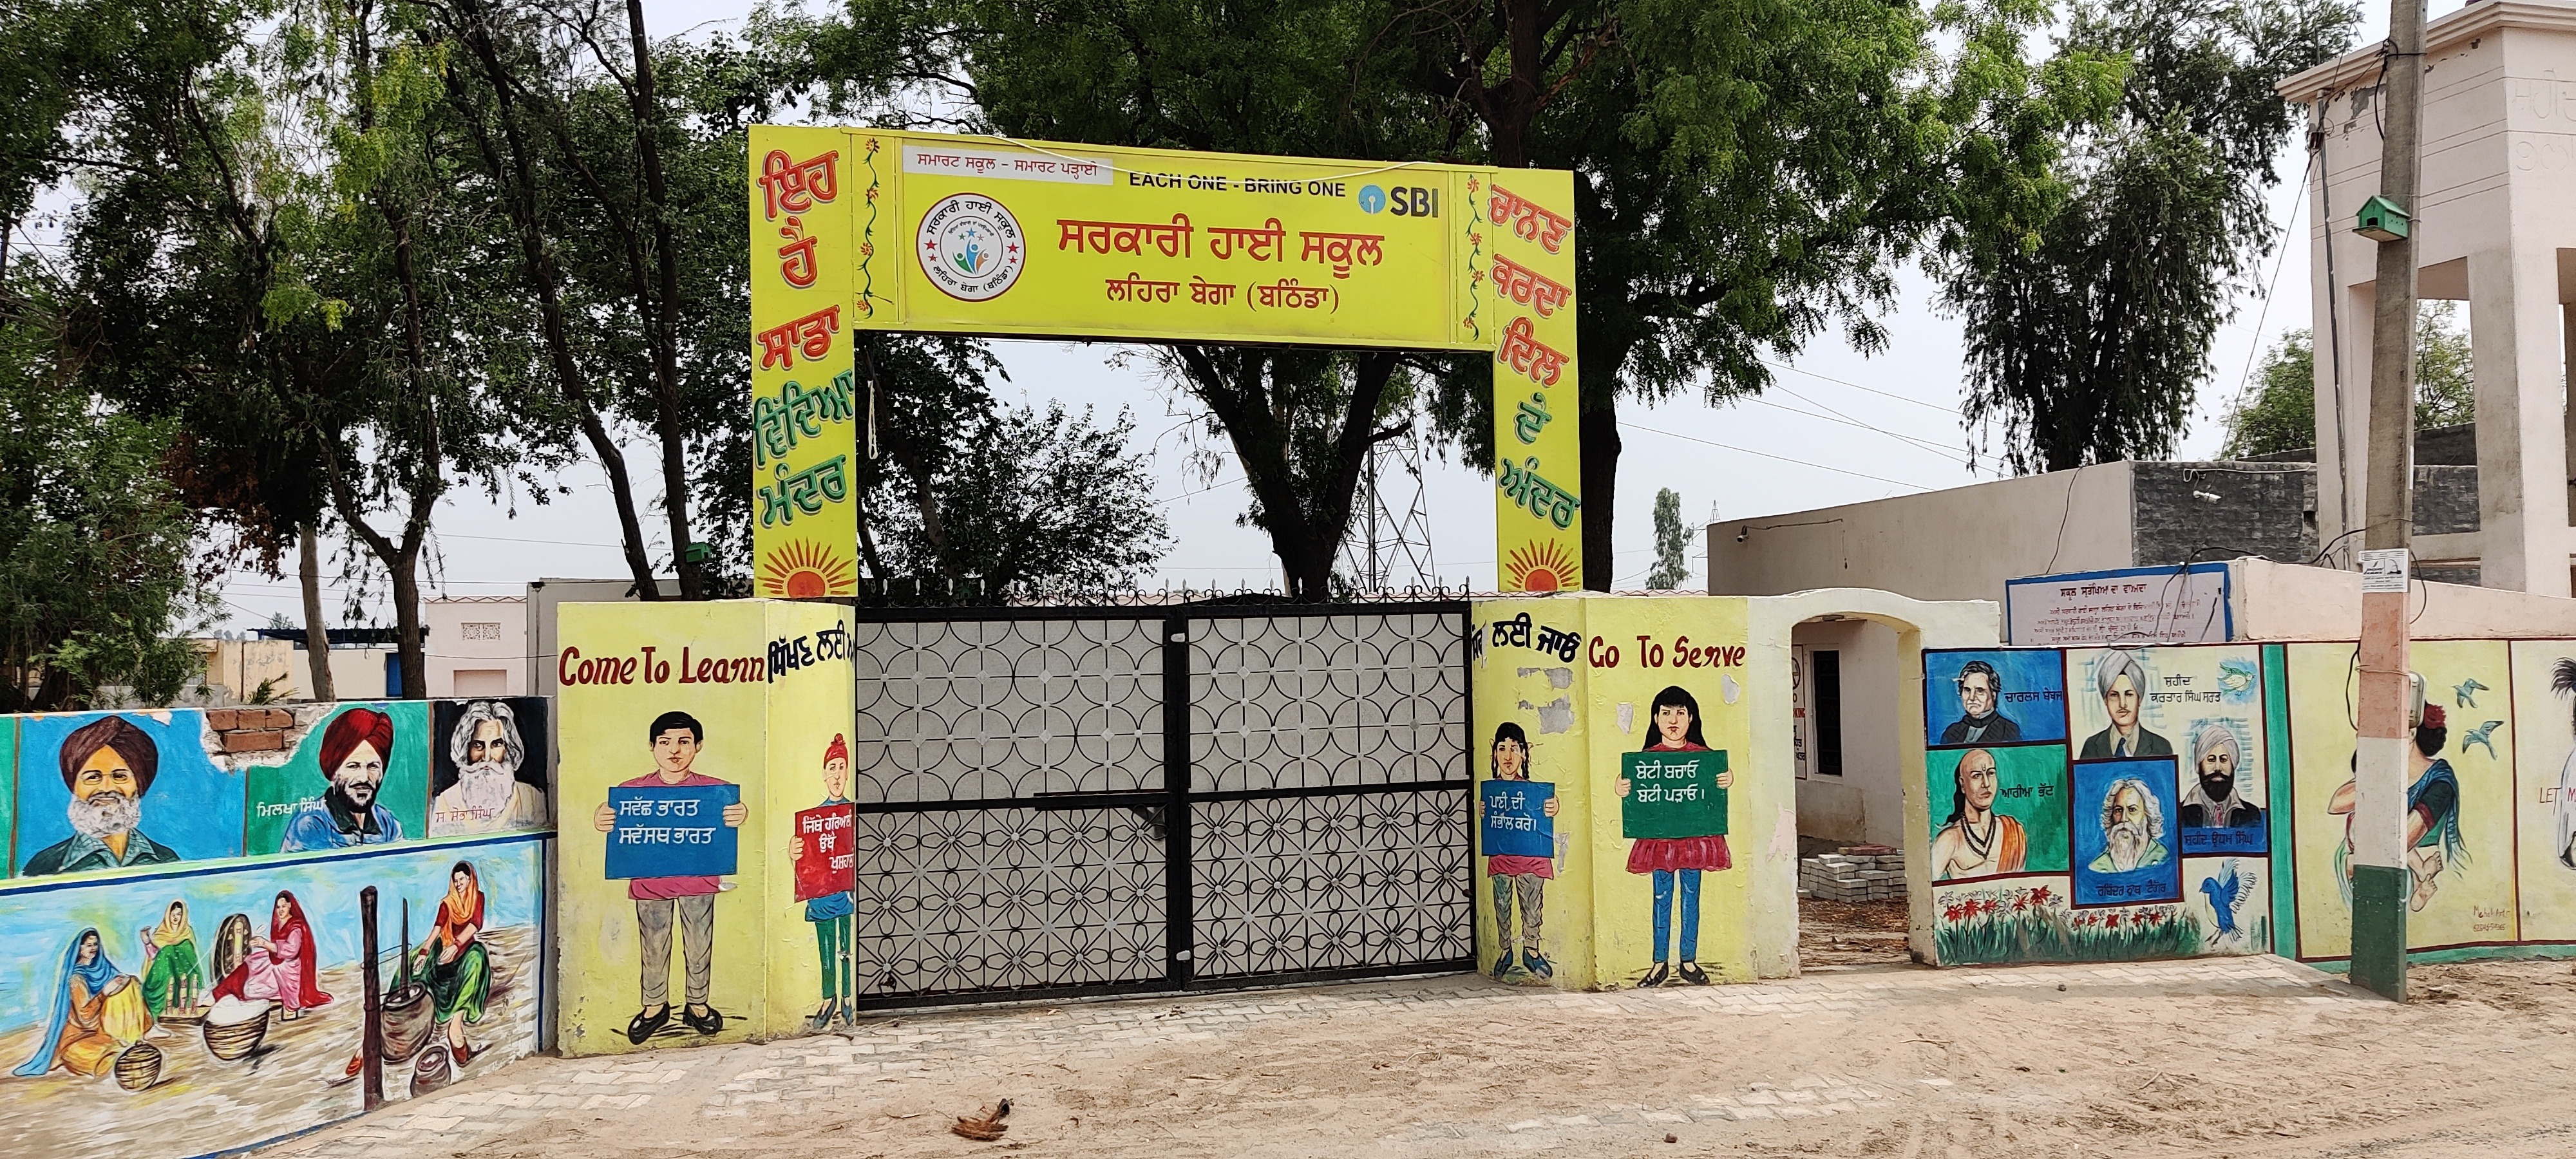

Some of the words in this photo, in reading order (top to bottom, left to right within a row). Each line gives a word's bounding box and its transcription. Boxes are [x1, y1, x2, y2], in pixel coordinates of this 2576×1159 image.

[752, 143, 842, 225] ਇਹ
[914, 151, 963, 171] ਸਮਾਰਟ
[963, 153, 999, 176] ਸਕੂਲ
[1012, 156, 1060, 176] ਸਮਾਰਟ
[1058, 158, 1099, 182] ਪੜ੍ਹਾਈ
[1126, 167, 1184, 191] EACH
[1184, 172, 1231, 195] ONE
[1240, 174, 1306, 197] BRING
[1305, 178, 1350, 200] ONE
[923, 195, 963, 236] ਸਰਕਾਰੀ
[961, 196, 997, 217] ਹਾਈ
[990, 209, 1018, 241] ਸਕੂਲ
[1047, 205, 1202, 268] ਸਰਕਾਰੀ
[1205, 211, 1293, 270] ਹਾਈ
[1387, 182, 1443, 222] SBI
[1482, 180, 1577, 263] ਚਾਨਣ
[772, 213, 835, 297] ਹੈ
[1298, 220, 1392, 287] ਸਕੂਲ
[929, 263, 959, 290] ਲਹਿਰਾ
[958, 279, 980, 296] ਬੇਗਾ
[985, 267, 1014, 290] ਬਠਿੰਡਾ
[1097, 268, 1183, 307] ਲਹਿਰ
[1183, 270, 1239, 312] ਬੇਗਾ
[1256, 274, 1332, 312] ਬਠਿੰਡਾ
[1487, 248, 1575, 324] ਕਰਦਾ
[753, 296, 844, 382] ਸਾਡਾ
[1492, 312, 1572, 393] ਦਿਲ
[751, 366, 856, 475] ਵਿੱਦਿਆ
[1505, 388, 1558, 449] ਦੇ
[755, 451, 855, 536] ਮੰਦਰ
[1496, 451, 1582, 536] ਅੰਦਰ
[2054, 584, 2081, 602] ਸਕ੍ਰੂਲ
[2079, 579, 2109, 598] ਸਰੱਖਿਾਅ
[2109, 581, 2121, 597] ਦਾ
[2121, 581, 2149, 597] ਵਾਅਦਾ
[554, 640, 641, 691] Come
[638, 639, 676, 690] To
[675, 642, 767, 688] Leann
[762, 633, 817, 684] ਸਿੱਖਣ
[811, 617, 846, 664] ਲਈ
[1487, 608, 1537, 659] ਲਈ
[1532, 615, 1587, 668] ਜਾਓ
[1586, 630, 1622, 672] Go
[1629, 630, 1666, 672] To
[1672, 635, 1749, 672] Serve
[2159, 672, 2193, 688] ਸ਼ਹੀਦ
[2001, 690, 2043, 704] ਚਾਰਲਸ
[2041, 684, 2064, 704] ਬੇਬਜ
[2145, 688, 2230, 705] ਕਰਤਾਰਸਿੰਘਸਰਤ
[1631, 756, 1663, 781] ਬੇਟੀ
[1662, 756, 1704, 780] ਬਚਾਓ
[251, 798, 299, 820] ਮਿਲਖਾ
[298, 793, 328, 815] ਸਿੰਘ
[431, 808, 449, 826] ਸ
[448, 800, 499, 824] ਸੋਭਸਿੰਘ
[616, 793, 657, 817] ਸਵੱਛ
[615, 819, 673, 847] ਸਵੱਸਥ
[654, 794, 704, 818] ਭਾਰਤ
[672, 823, 719, 849] ਭਾਰਤ
[798, 812, 825, 836] ਜਿੱਥੇ
[816, 830, 839, 856] ਉੱਖੇ
[824, 807, 854, 831] ਹਰਿਆਲੀ
[1486, 786, 1510, 811] ਪਾਣੀ
[1486, 809, 1515, 832] ਸਂਭਾਲ
[1510, 786, 1528, 811] ਦੀ
[1513, 811, 1533, 834] ਕਰੋ
[1634, 782, 1662, 804] ਬੇਟੀ
[1663, 780, 1701, 803] ਪੜਾਓ
[1998, 781, 2034, 800] ਆਰੀਆ
[2035, 780, 2060, 798] ਭੱਟ
[2183, 829, 2211, 846] ਸ਼ਰੀਦ
[2210, 829, 2234, 849] ਊਧਮ
[2233, 827, 2257, 849] ਸਿੰਘ
[2535, 783, 2565, 807] LET
[826, 850, 855, 878] ਖੁਸ਼ਹਾਨ
[2091, 880, 2127, 900] ਰਥਿੰਦਰ
[2125, 880, 2144, 898] ਕਥ
[2143, 875, 2172, 896] ਟੇਗੋਰ